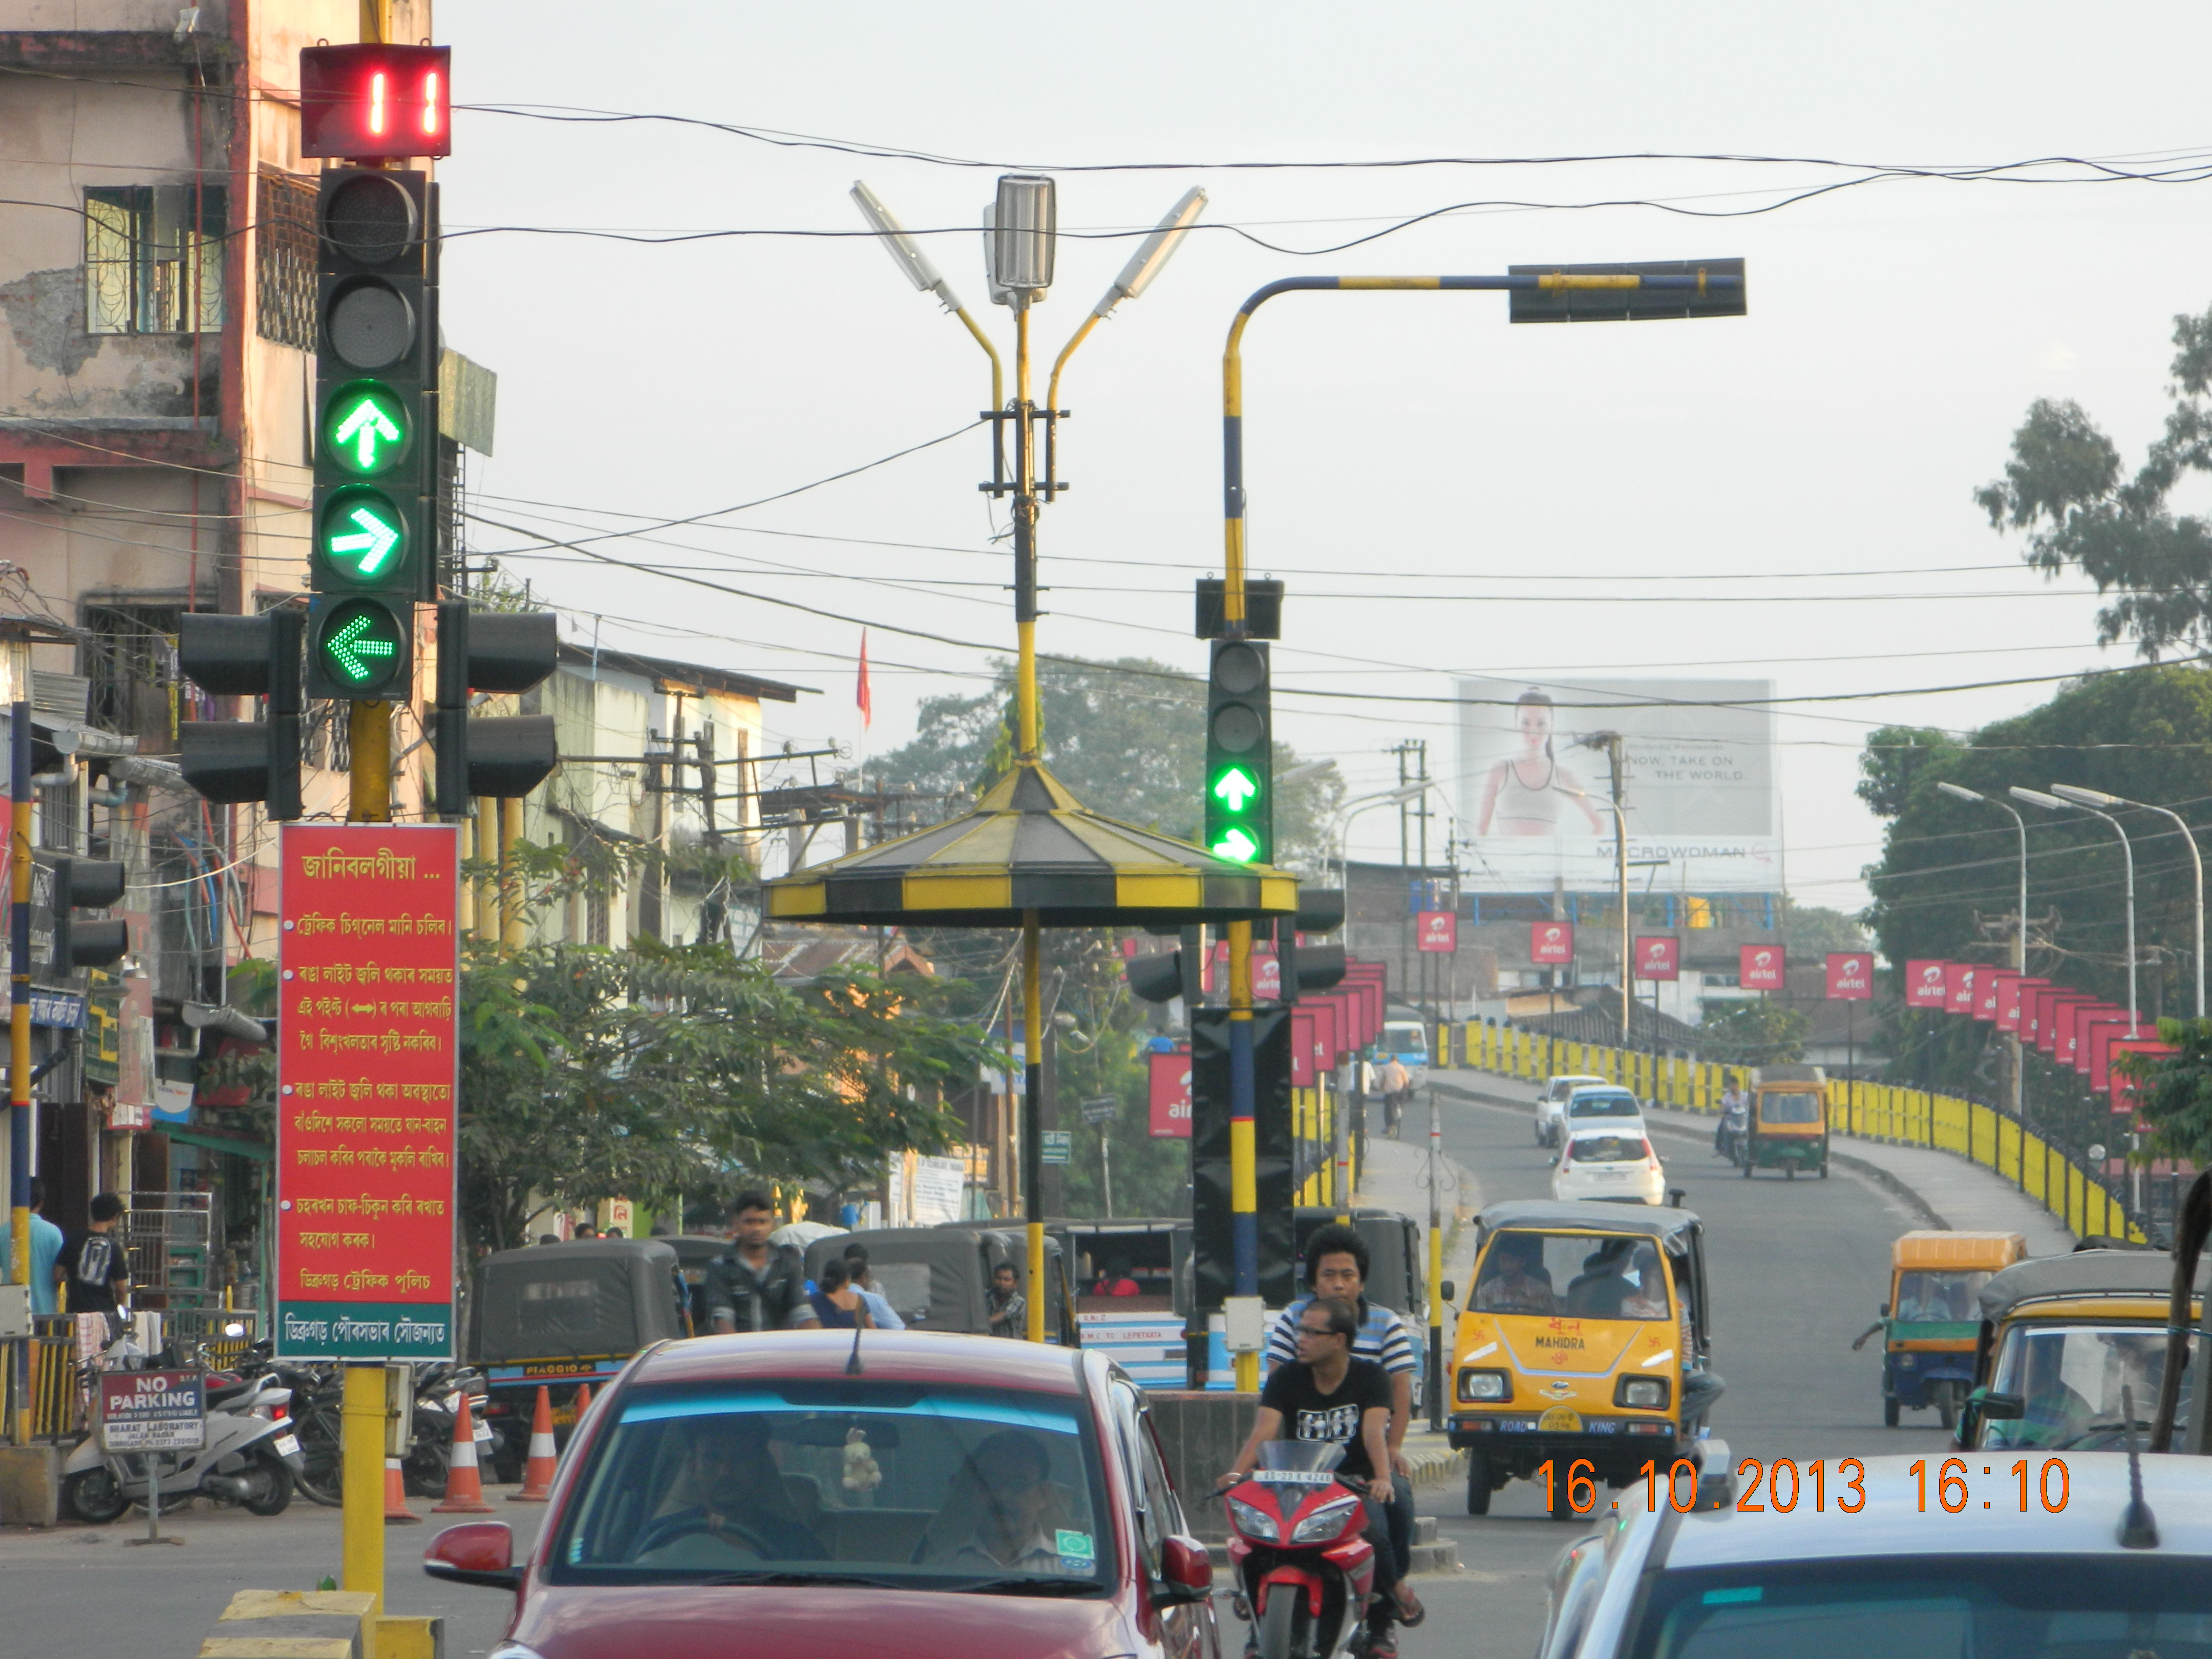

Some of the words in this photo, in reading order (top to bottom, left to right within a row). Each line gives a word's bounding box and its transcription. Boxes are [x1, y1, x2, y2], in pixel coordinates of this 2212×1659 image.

[296, 845, 421, 884] জানিবলগীয়া
[291, 908, 339, 941] ট্ৰেফিক
[335, 906, 388, 941] চিগনেল
[385, 911, 415, 939] মানি
[412, 909, 451, 938] চলিব
[293, 962, 324, 983] ৰঙা
[319, 960, 356, 984] লাইট
[352, 955, 383, 987] জ্বলি
[380, 963, 421, 987] থকাৰ
[411, 964, 458, 987] সময়ত
[292, 991, 319, 1017] এই
[314, 993, 347, 1020] পইণ্ট
[376, 998, 412, 1018] ৰপৰা
[408, 990, 455, 1025] আগবাঢ়ি
[291, 1024, 318, 1053] গৈ
[314, 1021, 381, 1057] বিশৃংখলতাৰ
[376, 1025, 440, 1058] সৃষ্টি নকৰিব
[291, 1076, 317, 1104] ৰঙা
[315, 1073, 349, 1103] লাইট
[343, 1074, 377, 1103] জলি
[374, 1078, 402, 1101] থকা
[398, 1080, 453, 1105] অবস্থাতো
[293, 1105, 337, 1134] বাঁওদিশো
[333, 1113, 370, 1136] সকলো
[364, 1113, 407, 1137] সময়তে
[402, 1114, 451, 1137] যান-বাহন
[293, 1143, 331, 1168] চলাচল
[328, 1140, 358, 1168] কৰিব
[356, 1144, 391, 1170] পৰাকৈ
[386, 1139, 421, 1173] মুকলি
[415, 1141, 449, 1171] বাখিব
[293, 1192, 337, 1220] চহৰখন
[333, 1188, 391, 1222] চাফ-চিকুন
[389, 1191, 418, 1220] কৰি
[414, 1193, 446, 1219] ৰখাত
[297, 1227, 345, 1252] সহযোগ
[339, 1227, 375, 1252] কৰক
[293, 1263, 345, 1293] ডিব্ৰুগড়
[338, 1265, 393, 1296] ট্রেফিক
[393, 1265, 434, 1298] পুলিচ
[280, 1304, 333, 1351] ডিব্ৰুগড়
[328, 1309, 393, 1346] পৌৰসভাৰ
[389, 1310, 449, 1347] সৌজন্যত
[134, 1372, 171, 1396] NO
[108, 1389, 198, 1412] PARKING
[1534, 1444, 1877, 1521] 16.10.2013
[1895, 1448, 2082, 1519] 16:10